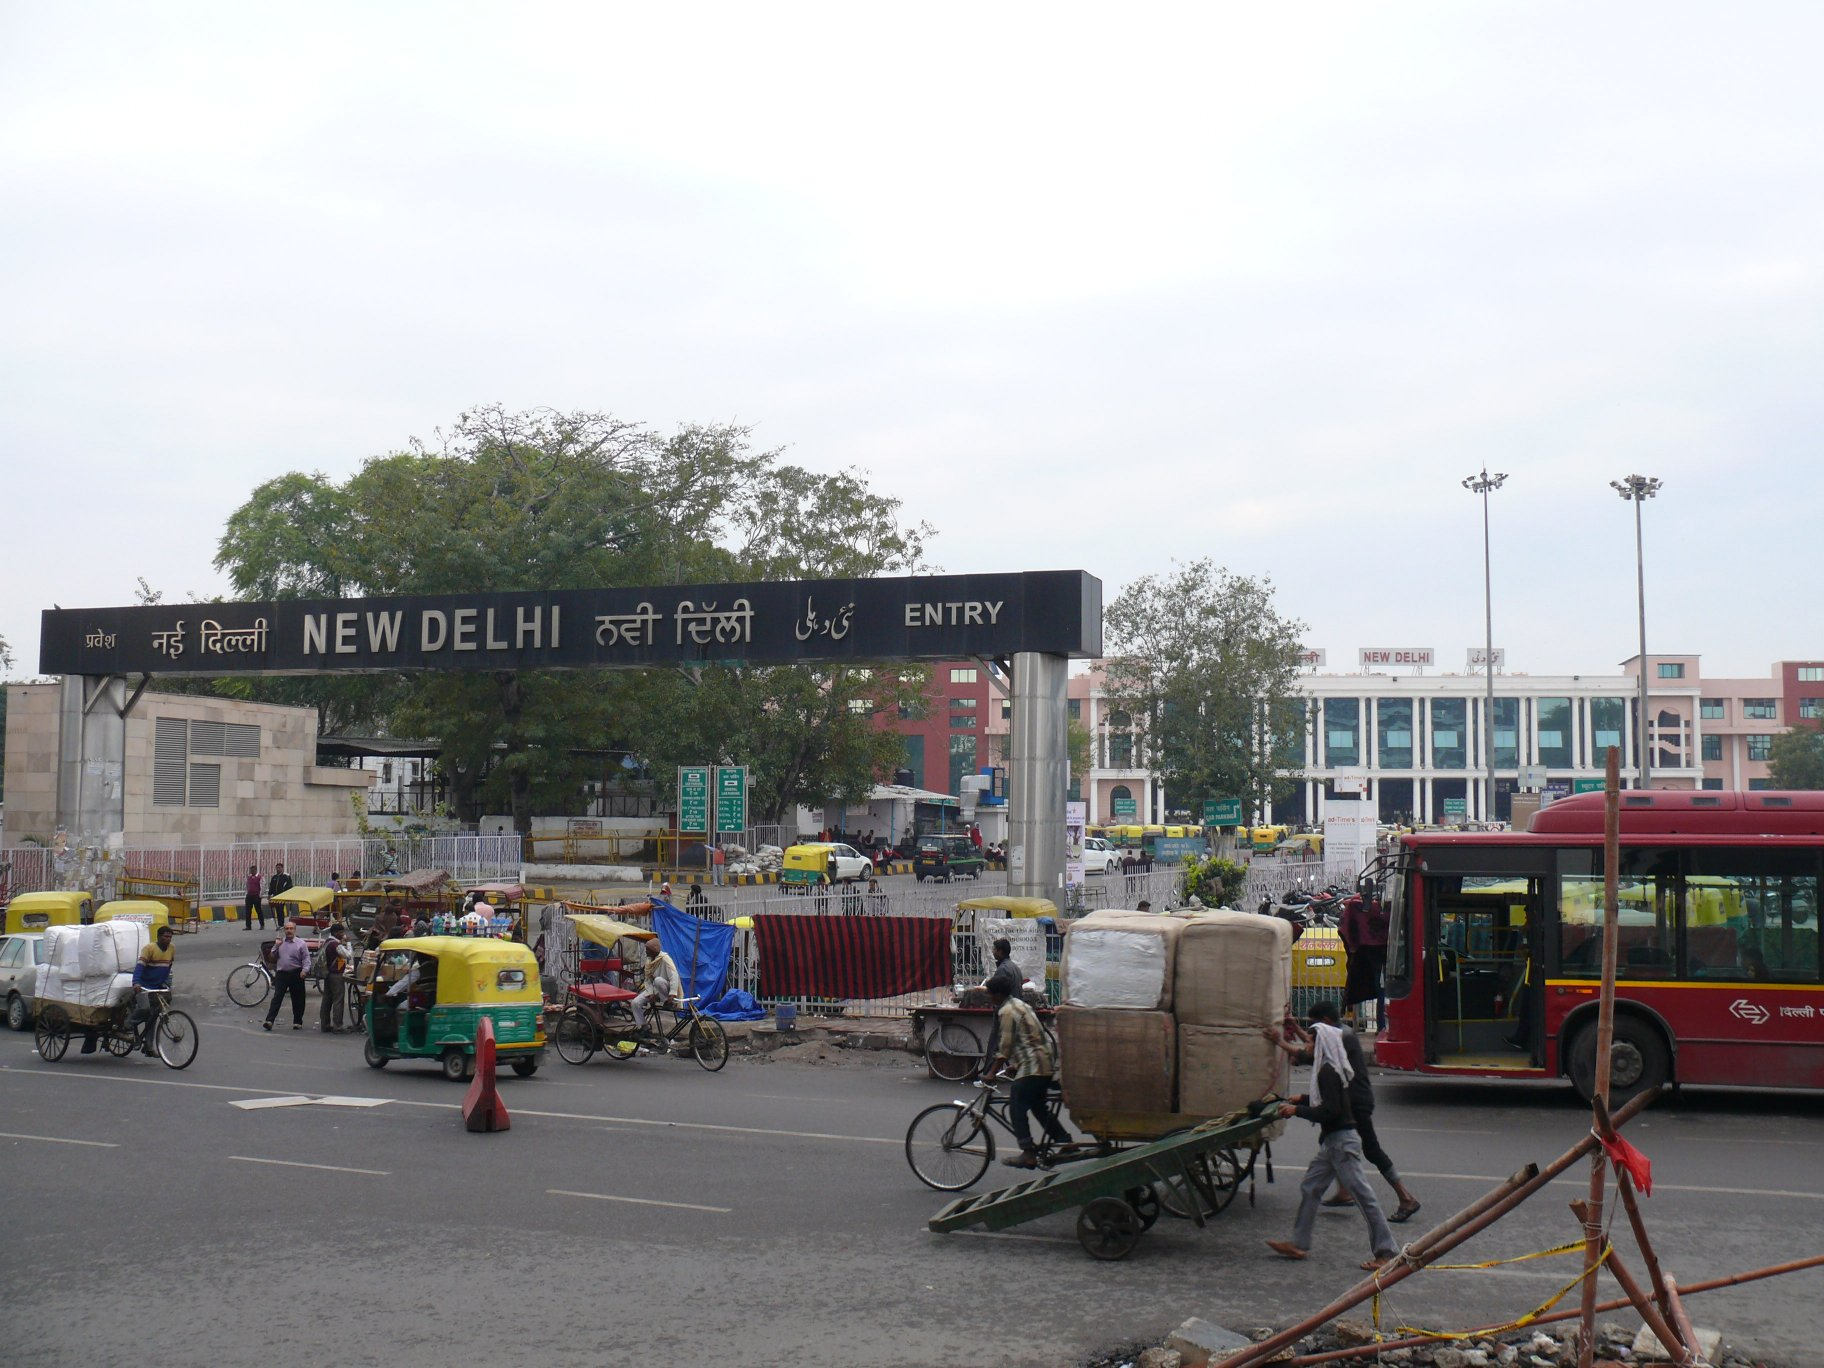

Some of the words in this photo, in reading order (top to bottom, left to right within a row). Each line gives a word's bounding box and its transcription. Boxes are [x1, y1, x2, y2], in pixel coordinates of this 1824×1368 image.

[83, 623, 121, 655] प्रवेश
[149, 614, 189, 662] नई
[196, 612, 273, 659] दिल्ली
[299, 611, 407, 656] NEW
[415, 603, 563, 656] DELHI
[594, 595, 665, 649] ਨਵੀ
[671, 594, 758, 648] ਦਿੱਲੀ
[902, 599, 1006, 628] ENTRY
[1358, 649, 1392, 666] NEW
[1393, 648, 1432, 666] DELHI